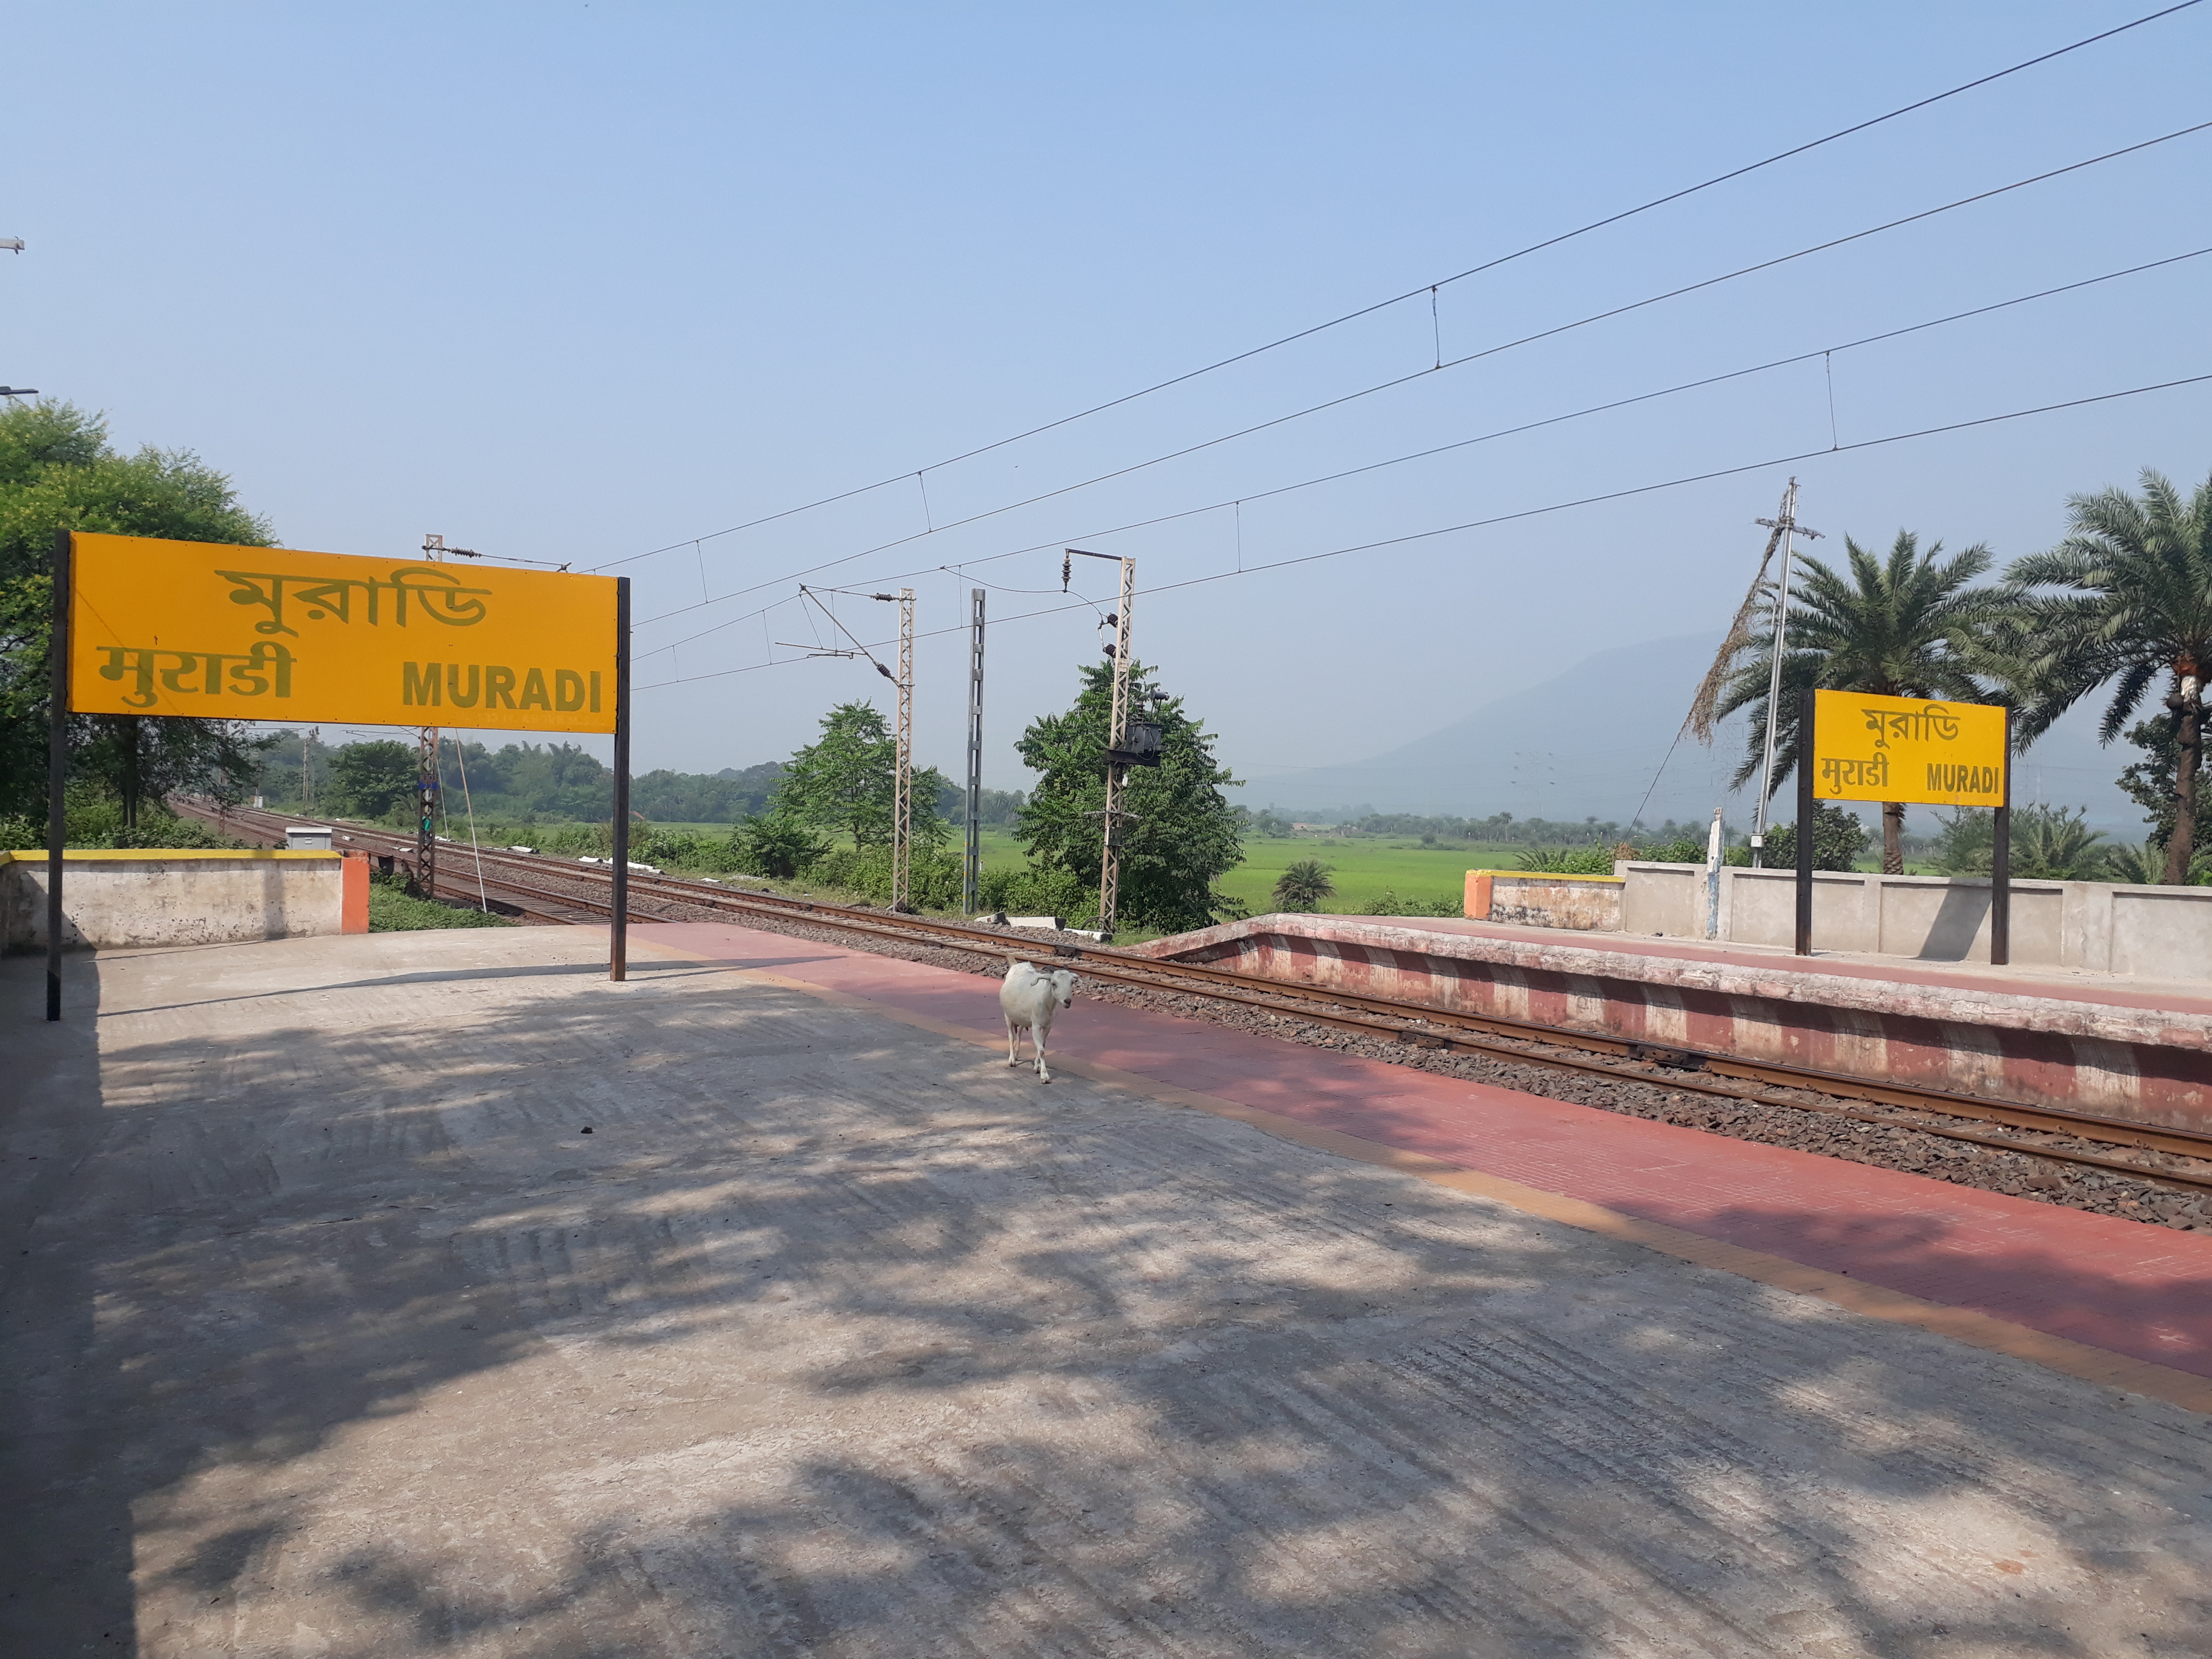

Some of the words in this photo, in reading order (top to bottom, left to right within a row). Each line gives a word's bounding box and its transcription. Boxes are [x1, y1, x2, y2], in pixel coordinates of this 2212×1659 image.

[211, 550, 498, 651] মুরাডি
[94, 633, 294, 710] मुराडी
[395, 653, 607, 722] MURADI
[1860, 697, 1963, 757] মুরাডি
[1817, 746, 1891, 798] मुराडी
[1924, 760, 2001, 796] MURADI